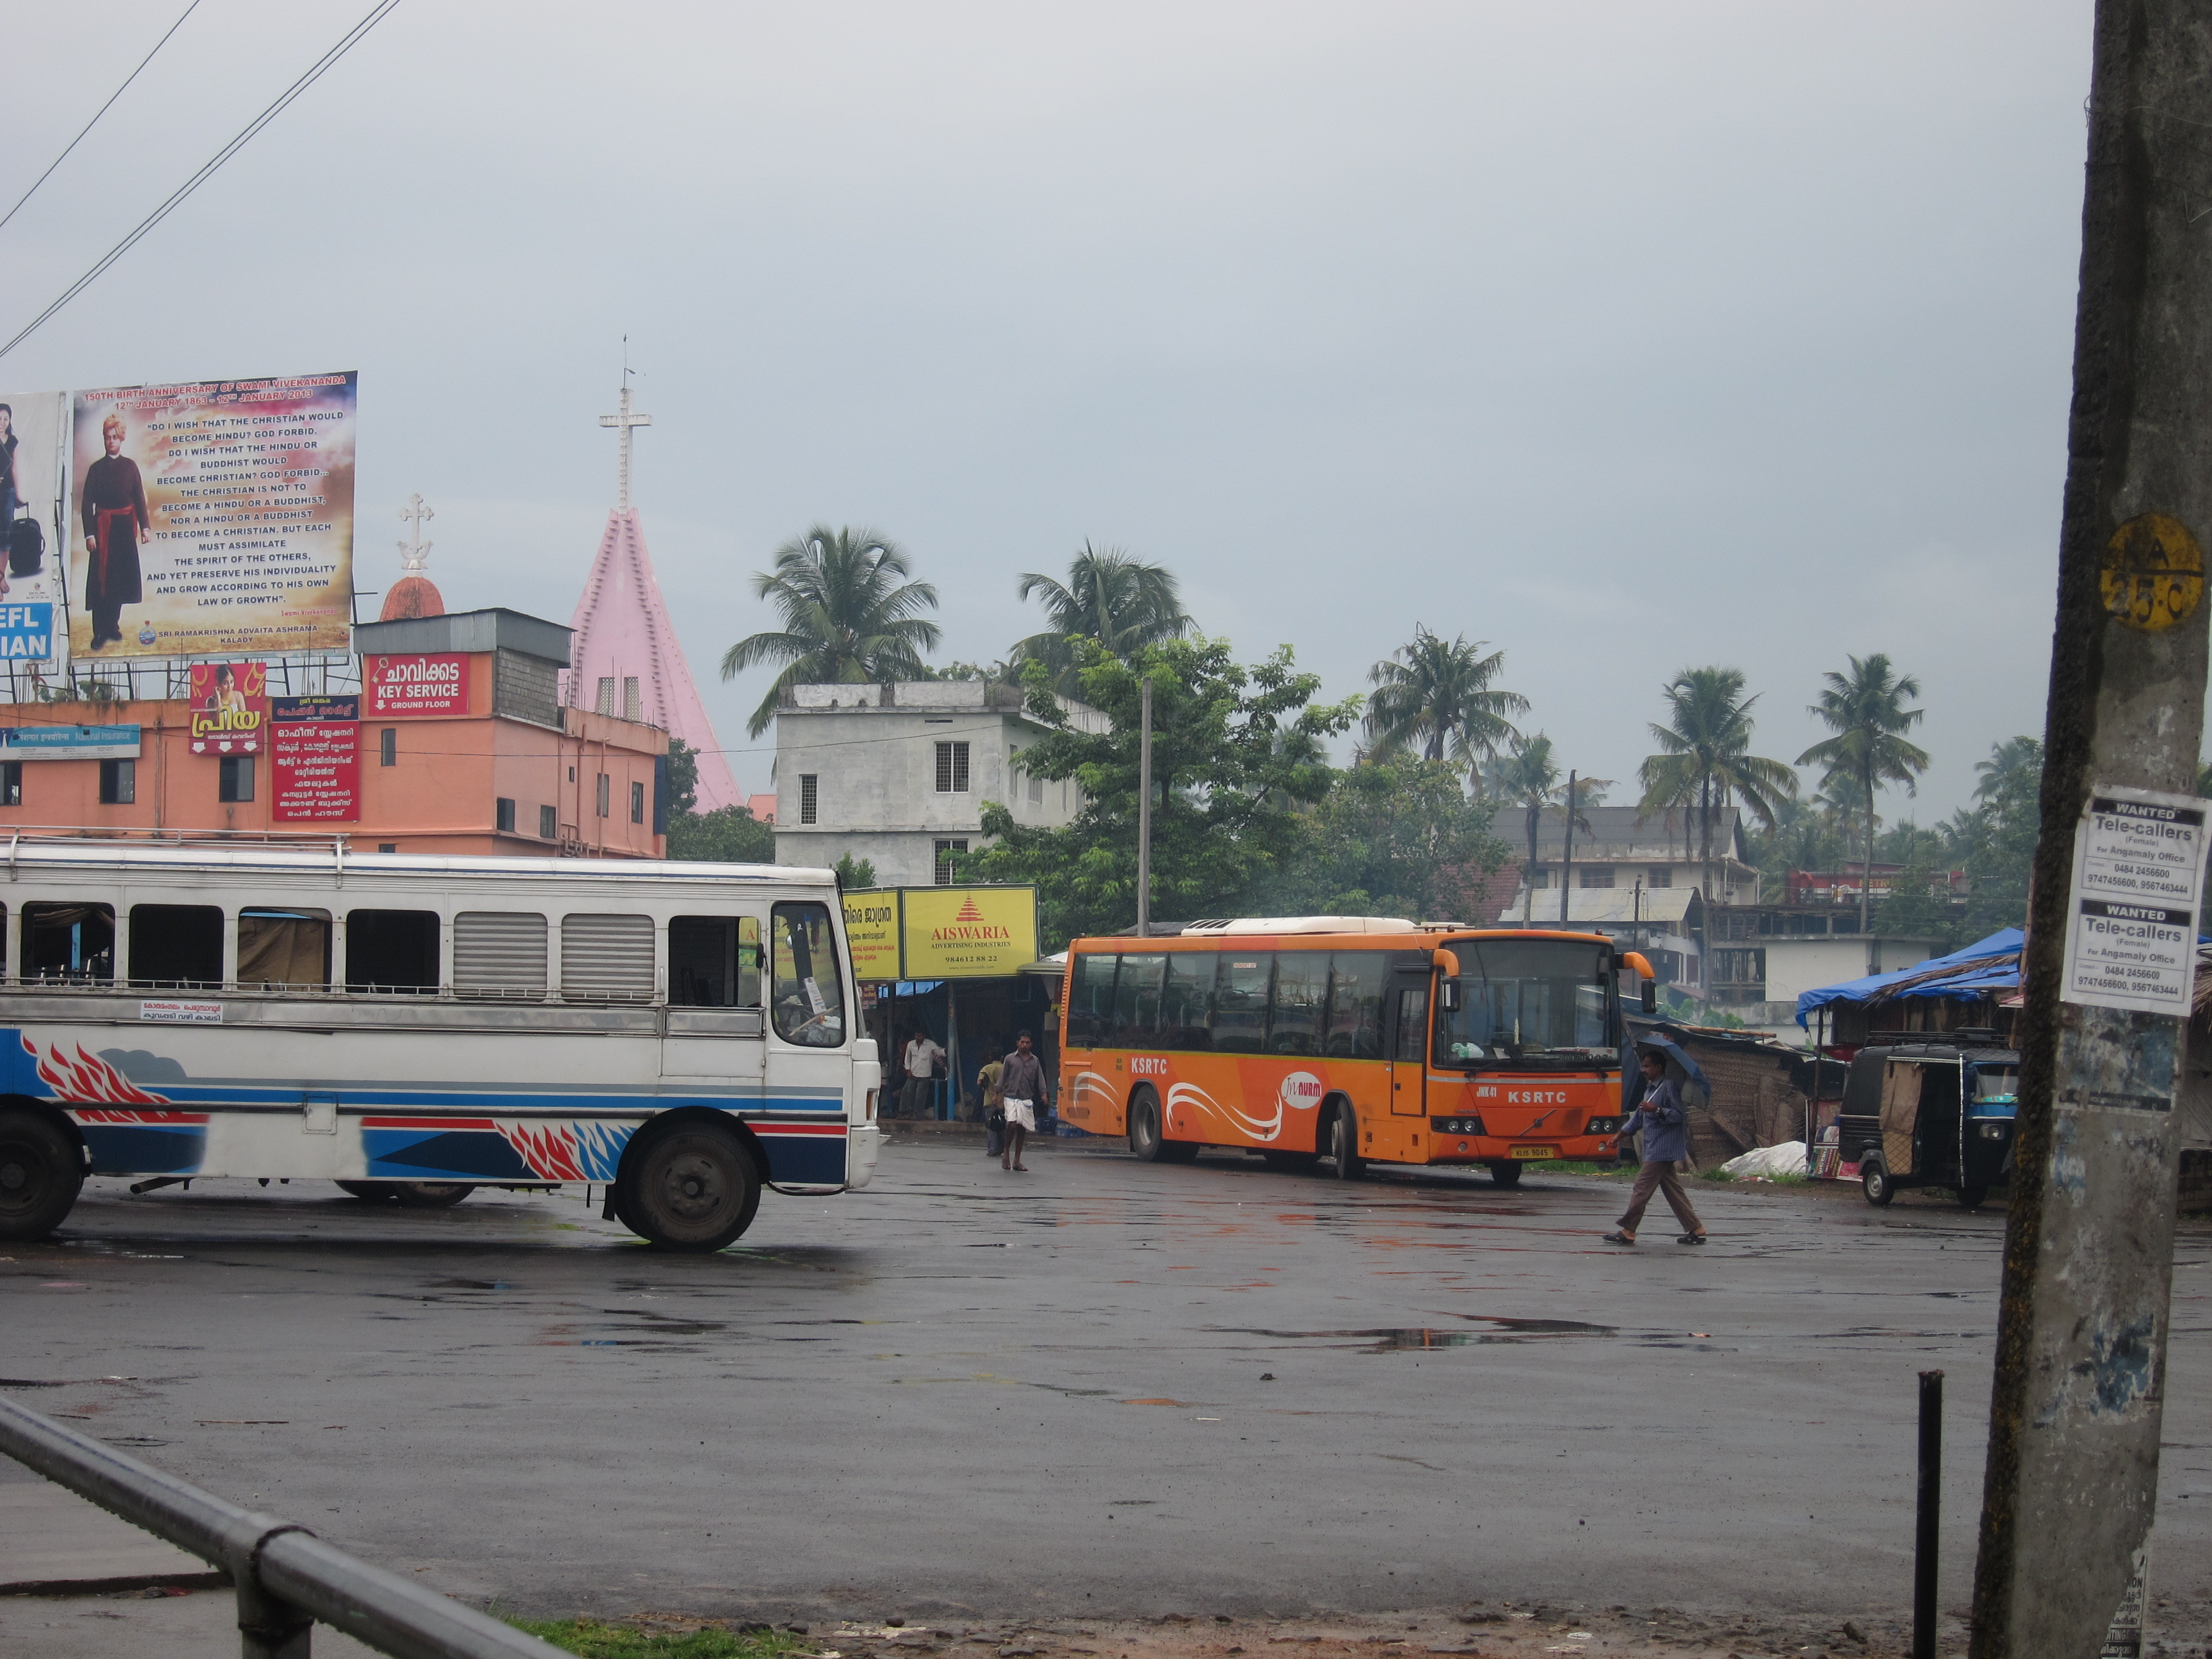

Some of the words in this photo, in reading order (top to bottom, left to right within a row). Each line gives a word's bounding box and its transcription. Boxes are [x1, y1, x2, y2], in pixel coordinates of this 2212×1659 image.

[271, 370, 347, 390] VIVEKANANDA
[81, 385, 115, 407] 150TH
[112, 399, 137, 412] 12TH
[112, 384, 149, 403] BIRTH
[135, 395, 184, 411] JANUARY
[146, 381, 223, 398] ANNIVERSARY
[183, 395, 210, 408] 1863
[217, 379, 236, 395] OF
[215, 392, 241, 407] 1-2TH
[232, 377, 275, 397] SWAMI
[237, 390, 287, 403] JANUARY
[286, 387, 315, 400] 2013
[151, 420, 167, 434] DO
[164, 421, 173, 432] I
[172, 419, 201, 431] WISH
[169, 431, 213, 446] BECOME
[197, 417, 229, 429] THAT
[213, 430, 253, 443] HINDU?
[227, 415, 252, 428] THE
[252, 427, 278, 441] GOD
[249, 412, 307, 426] CHRISTIAN
[276, 426, 318, 440] FORBID.
[306, 410, 346, 424] WOULD
[165, 447, 184, 460] DO
[180, 447, 191, 459] I
[189, 446, 218, 458] WISH
[216, 443, 247, 455] THAT
[245, 441, 269, 455] THE
[268, 440, 304, 452] HINDU
[303, 440, 320, 451] OR
[199, 457, 251, 472] BUDDHIST
[250, 455, 290, 469] WOULD
[152, 472, 198, 488] BECOME
[197, 471, 260, 484] CHRISTIAN?
[258, 468, 284, 483] ഠേ
[282, 466, 323, 480] FORBID.
[178, 487, 202, 500] THE
[200, 484, 258, 497] CHRISTIAN
[255, 483, 269, 497] IS
[267, 481, 290, 494] NOT
[289, 481, 309, 494] TO
[159, 500, 203, 514] BECOME
[201, 500, 212, 512] A
[211, 498, 246, 511] HINDU
[246, 498, 264, 509] OR
[259, 497, 273, 509] A
[272, 494, 327, 509] BUDDHIST,
[152, 529, 171, 541] TO
[169, 515, 193, 527] NOR
[169, 527, 213, 541] BECOME
[190, 514, 204, 526] A
[210, 526, 223, 538] A
[200, 512, 236, 526] HINDU
[234, 511, 253, 523] OR
[220, 525, 280, 538] CHRISTIAN.
[250, 510, 261, 524] A
[262, 508, 317, 521] BUDDHIST
[280, 523, 304, 535] BUT
[302, 521, 334, 533] EACH
[196, 540, 227, 551] MUST
[226, 537, 288, 550] ASSIMILATE
[173, 556, 195, 568] THE
[193, 554, 230, 567] SPIRIT
[226, 554, 244, 565] OF
[245, 552, 268, 565] THE
[265, 550, 311, 563] OTHERS,
[142, 571, 169, 583] AND
[152, 584, 178, 595] AND
[167, 570, 190, 582] YET
[175, 583, 212, 595] GROW
[187, 568, 243, 580] PRESERVE
[204, 581, 270, 592] ACCORDING
[236, 566, 263, 579] HIS
[268, 579, 286, 591] TO
[284, 577, 306, 590] HIS
[260, 561, 337, 577] INDIVIDUALITY
[304, 578, 332, 588] OWN
[195, 597, 222, 609] LAW
[219, 594, 235, 607] OF
[232, 595, 282, 606] GROWTH
[278, 606, 303, 618] Swami
[300, 606, 339, 617] Vivekananda
[156, 628, 174, 638] SRI
[173, 625, 238, 638] RAMAKRISHNA
[219, 634, 255, 645] KALADY
[235, 624, 276, 637] ADVAITA
[272, 622, 322, 634] ASHRAMA
[382, 654, 463, 684] ചാവിക്കട
[377, 683, 405, 700] KEY
[402, 682, 461, 699] SERVICE
[297, 695, 313, 708] ശ്രീ
[387, 697, 426, 710] GROUND
[422, 698, 452, 711] FLOOR
[276, 704, 319, 720] പേഷർ
[189, 702, 261, 739] പ്രിയ
[13, 728, 41, 743] नेशनल
[37, 728, 72, 744] इन्श्योरेन्स
[75, 729, 102, 743] National
[98, 729, 134, 742] Insurance
[273, 724, 317, 740] ഓഫീസ്
[318, 725, 357, 742] സ്റ്റേഷനറി
[273, 737, 303, 756] സ്‌കുൾ
[275, 752, 304, 768] ആർട്ട് &
[301, 753, 356, 768] എൻ‌‌ജിനിയറിംങ്
[292, 763, 338, 779] മെറ്റീരിയൽസ്
[290, 776, 340, 790] ഫയലുകൾ
[278, 788, 315, 800] കമ്പ്യൂട്ടർ
[312, 787, 352, 800] സ്റ്റേഷനറി
[276, 797, 319, 809] അക്കൗണ്ട്
[313, 797, 355, 808] ബൂക്ക്സ്
[284, 806, 313, 819] പെൻ
[311, 807, 349, 819] ഹൗസ്
[2112, 800, 2178, 823] WANTED
[2095, 812, 2196, 843] Tele-callers
[2122, 833, 2158, 848] (Female)
[2093, 845, 2110, 854] For
[2107, 843, 2159, 862] Angamaly
[2155, 849, 2187, 864] Office
[860, 902, 896, 931] ജാഗ്രത
[2103, 900, 2169, 923] WANTED
[930, 922, 1014, 941] AISWARIA
[2085, 913, 2185, 946] Tele-callers
[928, 940, 976, 950] ADVERTISING
[973, 938, 1015, 949] INDUSTRIES
[2116, 936, 2152, 948] (Female)
[2086, 946, 2101, 958] For
[2098, 946, 2150, 964] Angamaly
[2145, 951, 2177, 965] Office
[1126, 1055, 1168, 1078] KSRTC
[1282, 1073, 1323, 1101] Jnnurm
[1504, 1088, 1567, 1105] KSRTC